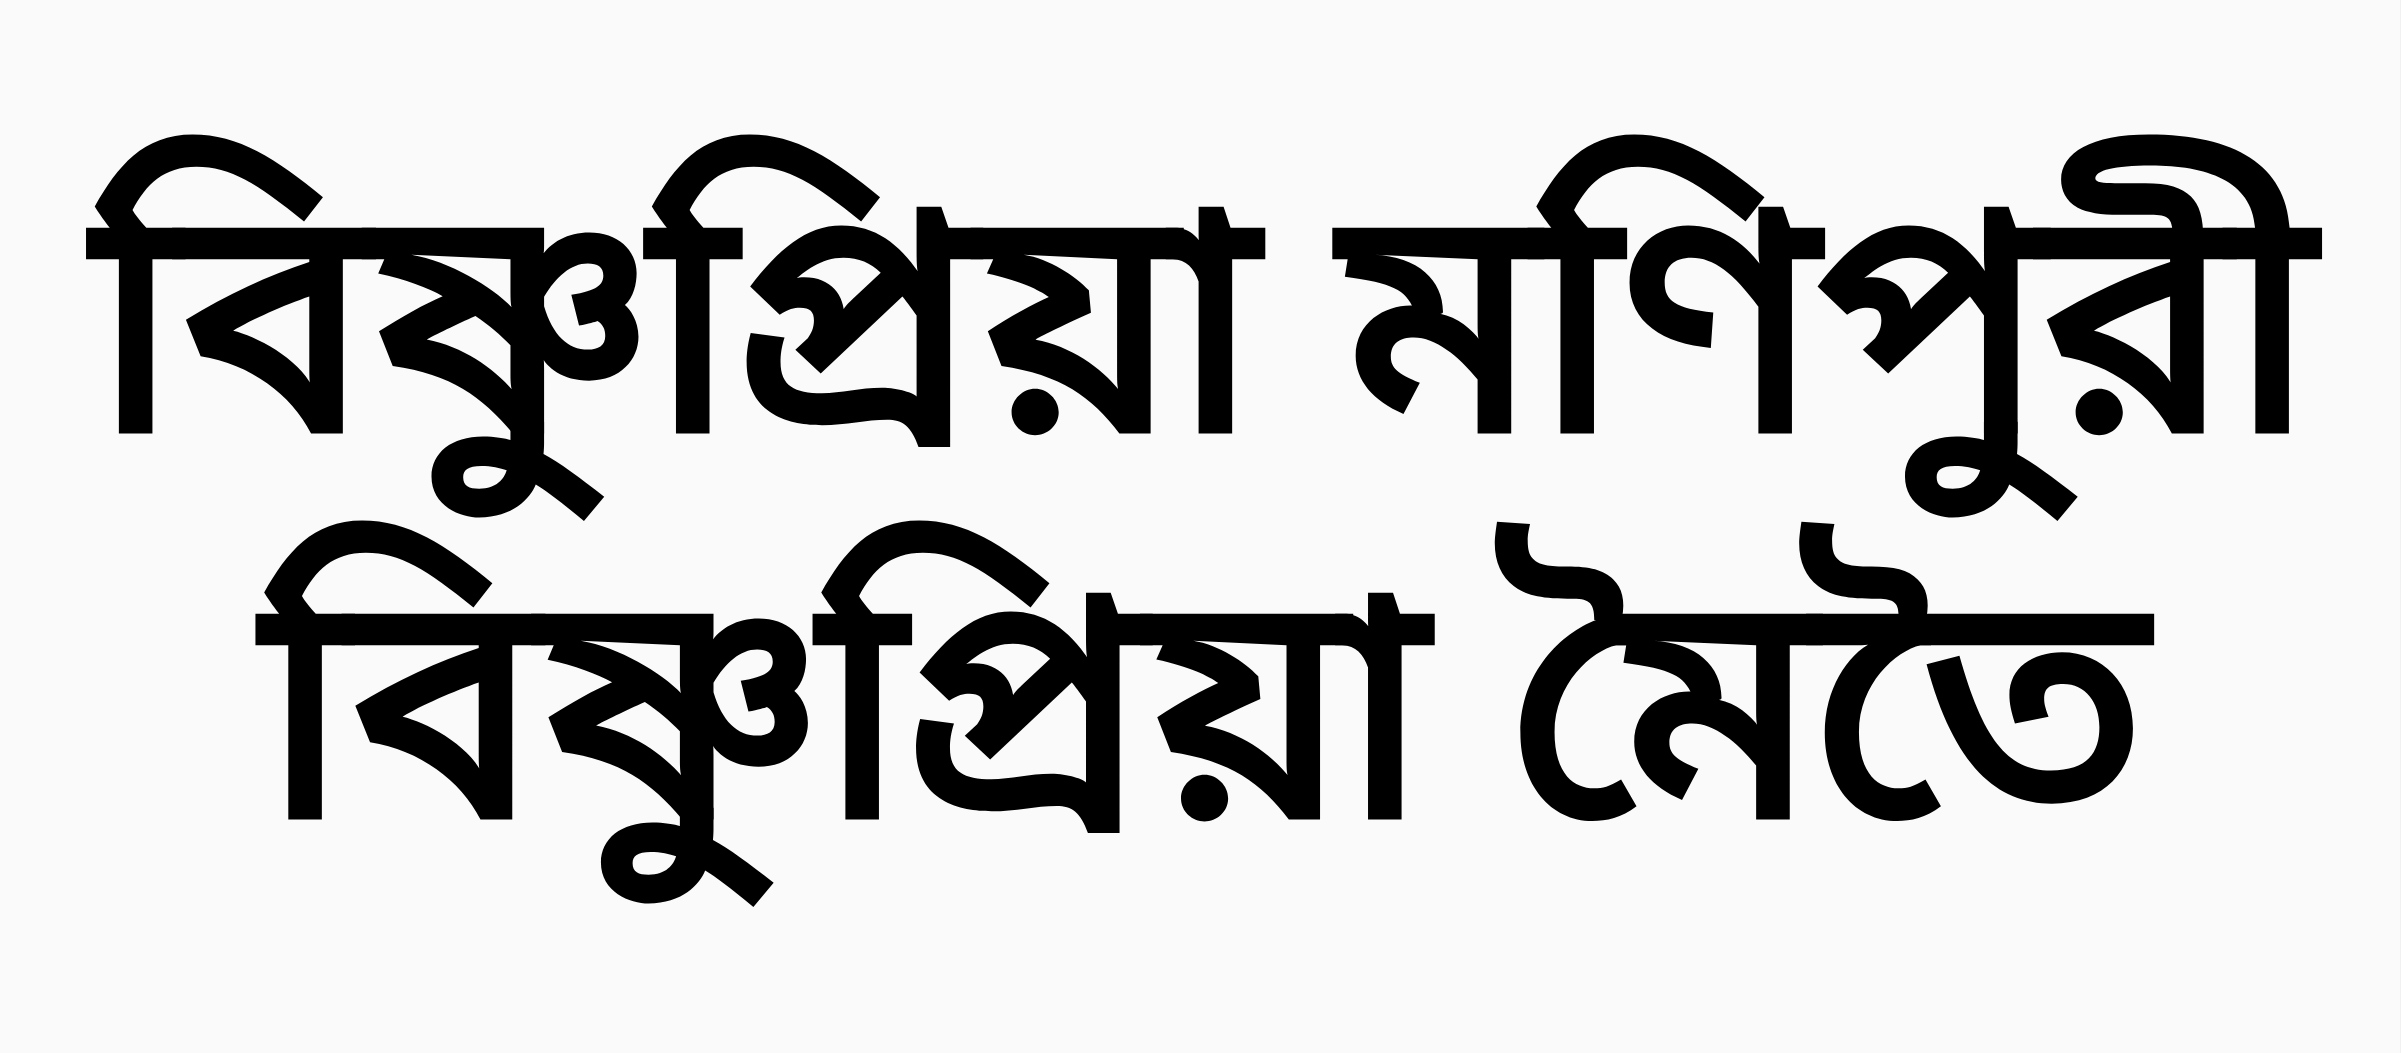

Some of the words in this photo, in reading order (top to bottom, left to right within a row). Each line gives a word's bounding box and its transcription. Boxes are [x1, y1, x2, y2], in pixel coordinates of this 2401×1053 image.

[70, 114, 1278, 536] বিষ্ণুপ্রিয়া
[1314, 110, 2342, 532] মণিপুরী
[232, 502, 1448, 922] বিষ্ণুপ্রিয়া
[1492, 508, 2168, 836] মৈতৈ